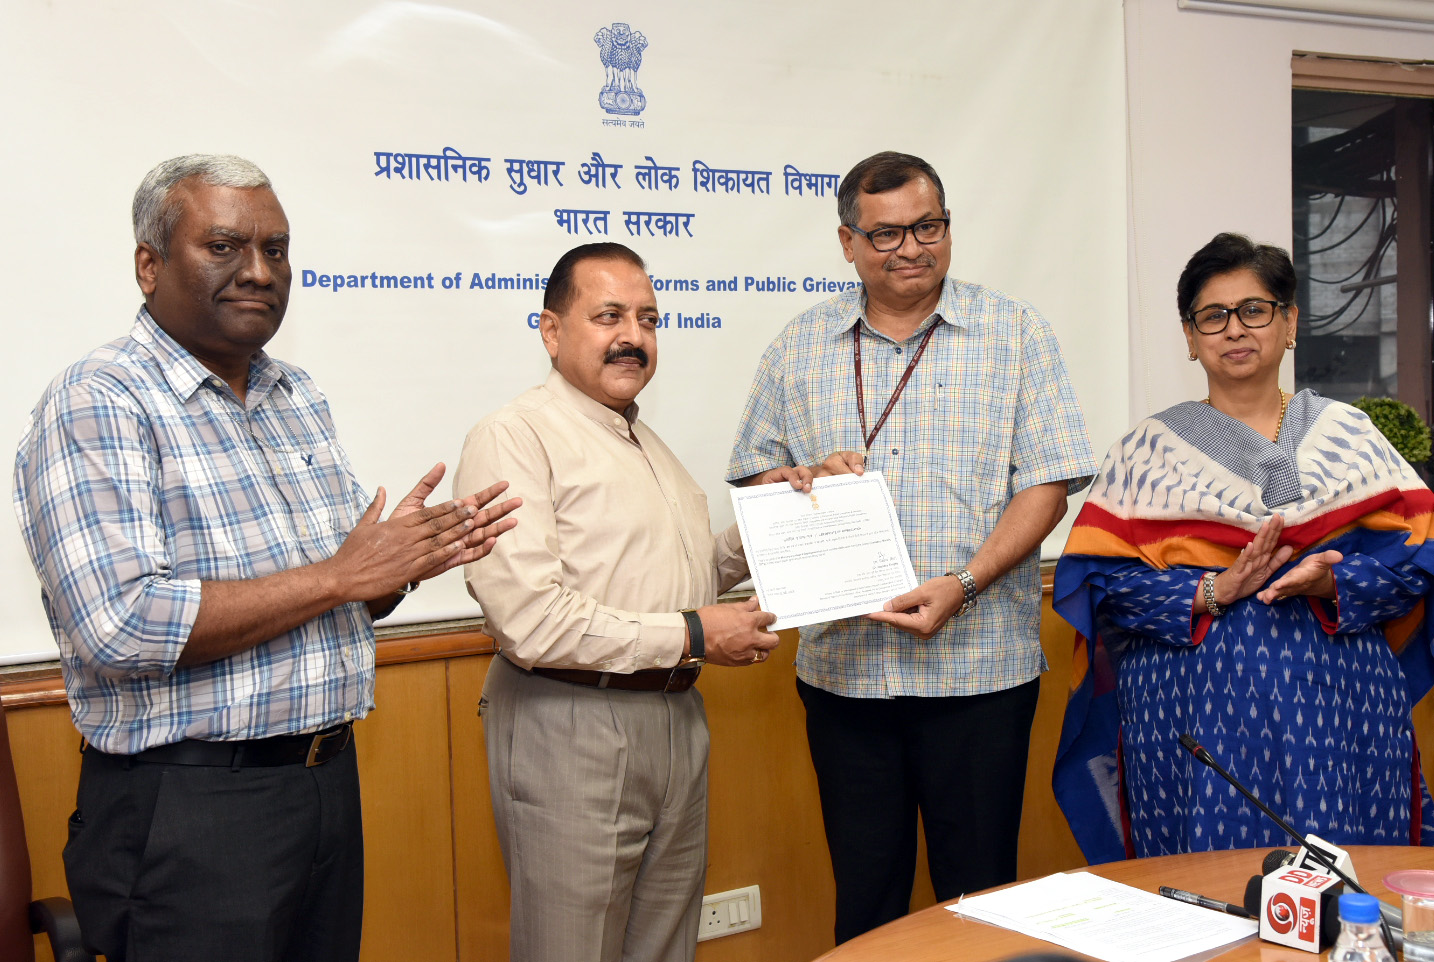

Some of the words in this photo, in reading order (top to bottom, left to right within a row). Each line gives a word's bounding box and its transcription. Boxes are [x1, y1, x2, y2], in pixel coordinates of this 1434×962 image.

[593, 107, 631, 131] सत्यमेव
[624, 111, 650, 131] जयते
[367, 141, 492, 187] प्रशासनिक
[501, 152, 565, 196] सुधार
[575, 152, 622, 192] और
[630, 154, 681, 193] लोक
[685, 149, 777, 199] शिकायत
[774, 153, 845, 203] विभाग
[549, 199, 611, 239] भारत
[619, 205, 697, 242] सरकार
[298, 264, 441, 297] Department
[438, 265, 465, 293] of
[467, 265, 557, 293] Adminis
[646, 271, 705, 295] forms
[699, 272, 743, 298] and
[741, 268, 803, 299] Public
[675, 307, 726, 334] India